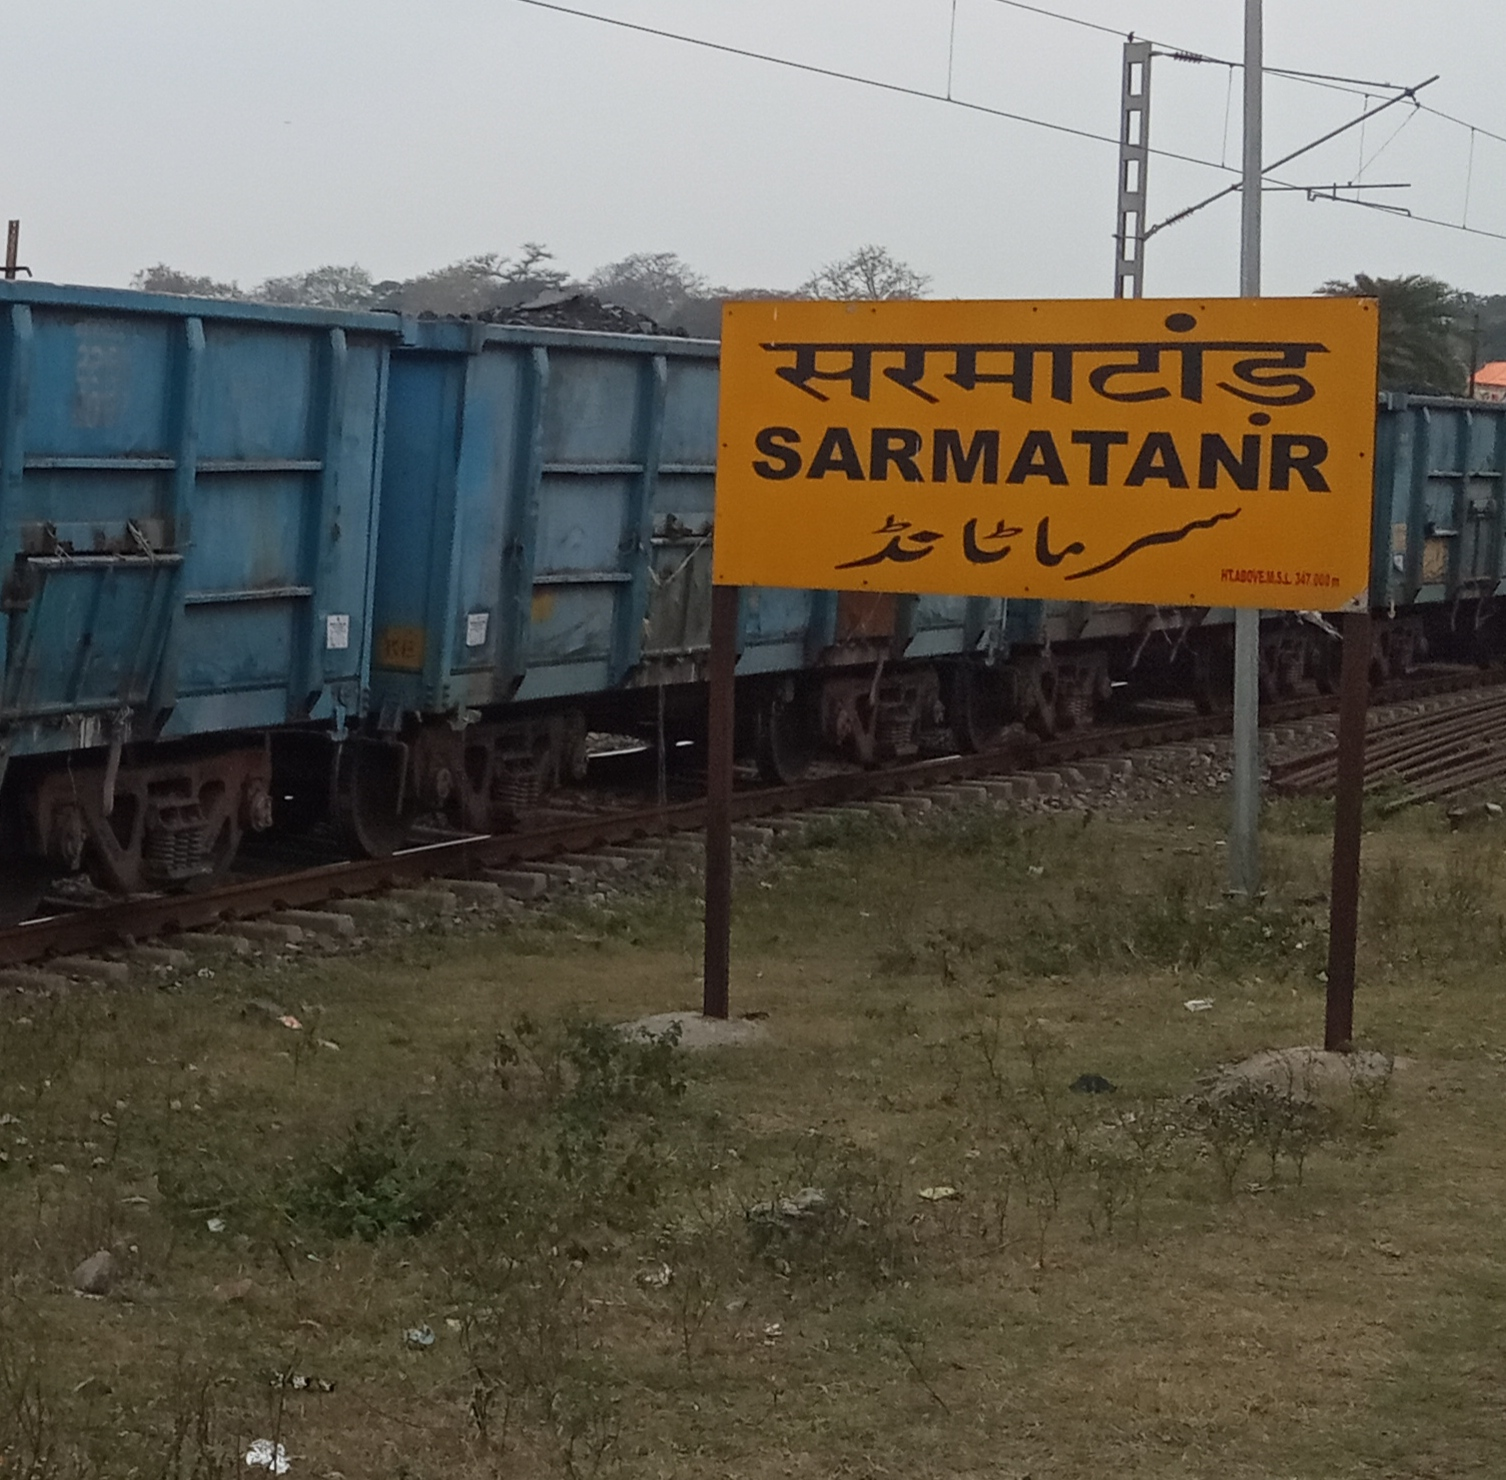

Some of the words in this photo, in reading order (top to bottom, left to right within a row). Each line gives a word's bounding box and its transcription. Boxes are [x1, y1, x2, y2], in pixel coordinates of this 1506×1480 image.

[760, 305, 1332, 412] सरमाटांड
[747, 407, 1332, 498] SARMATANR